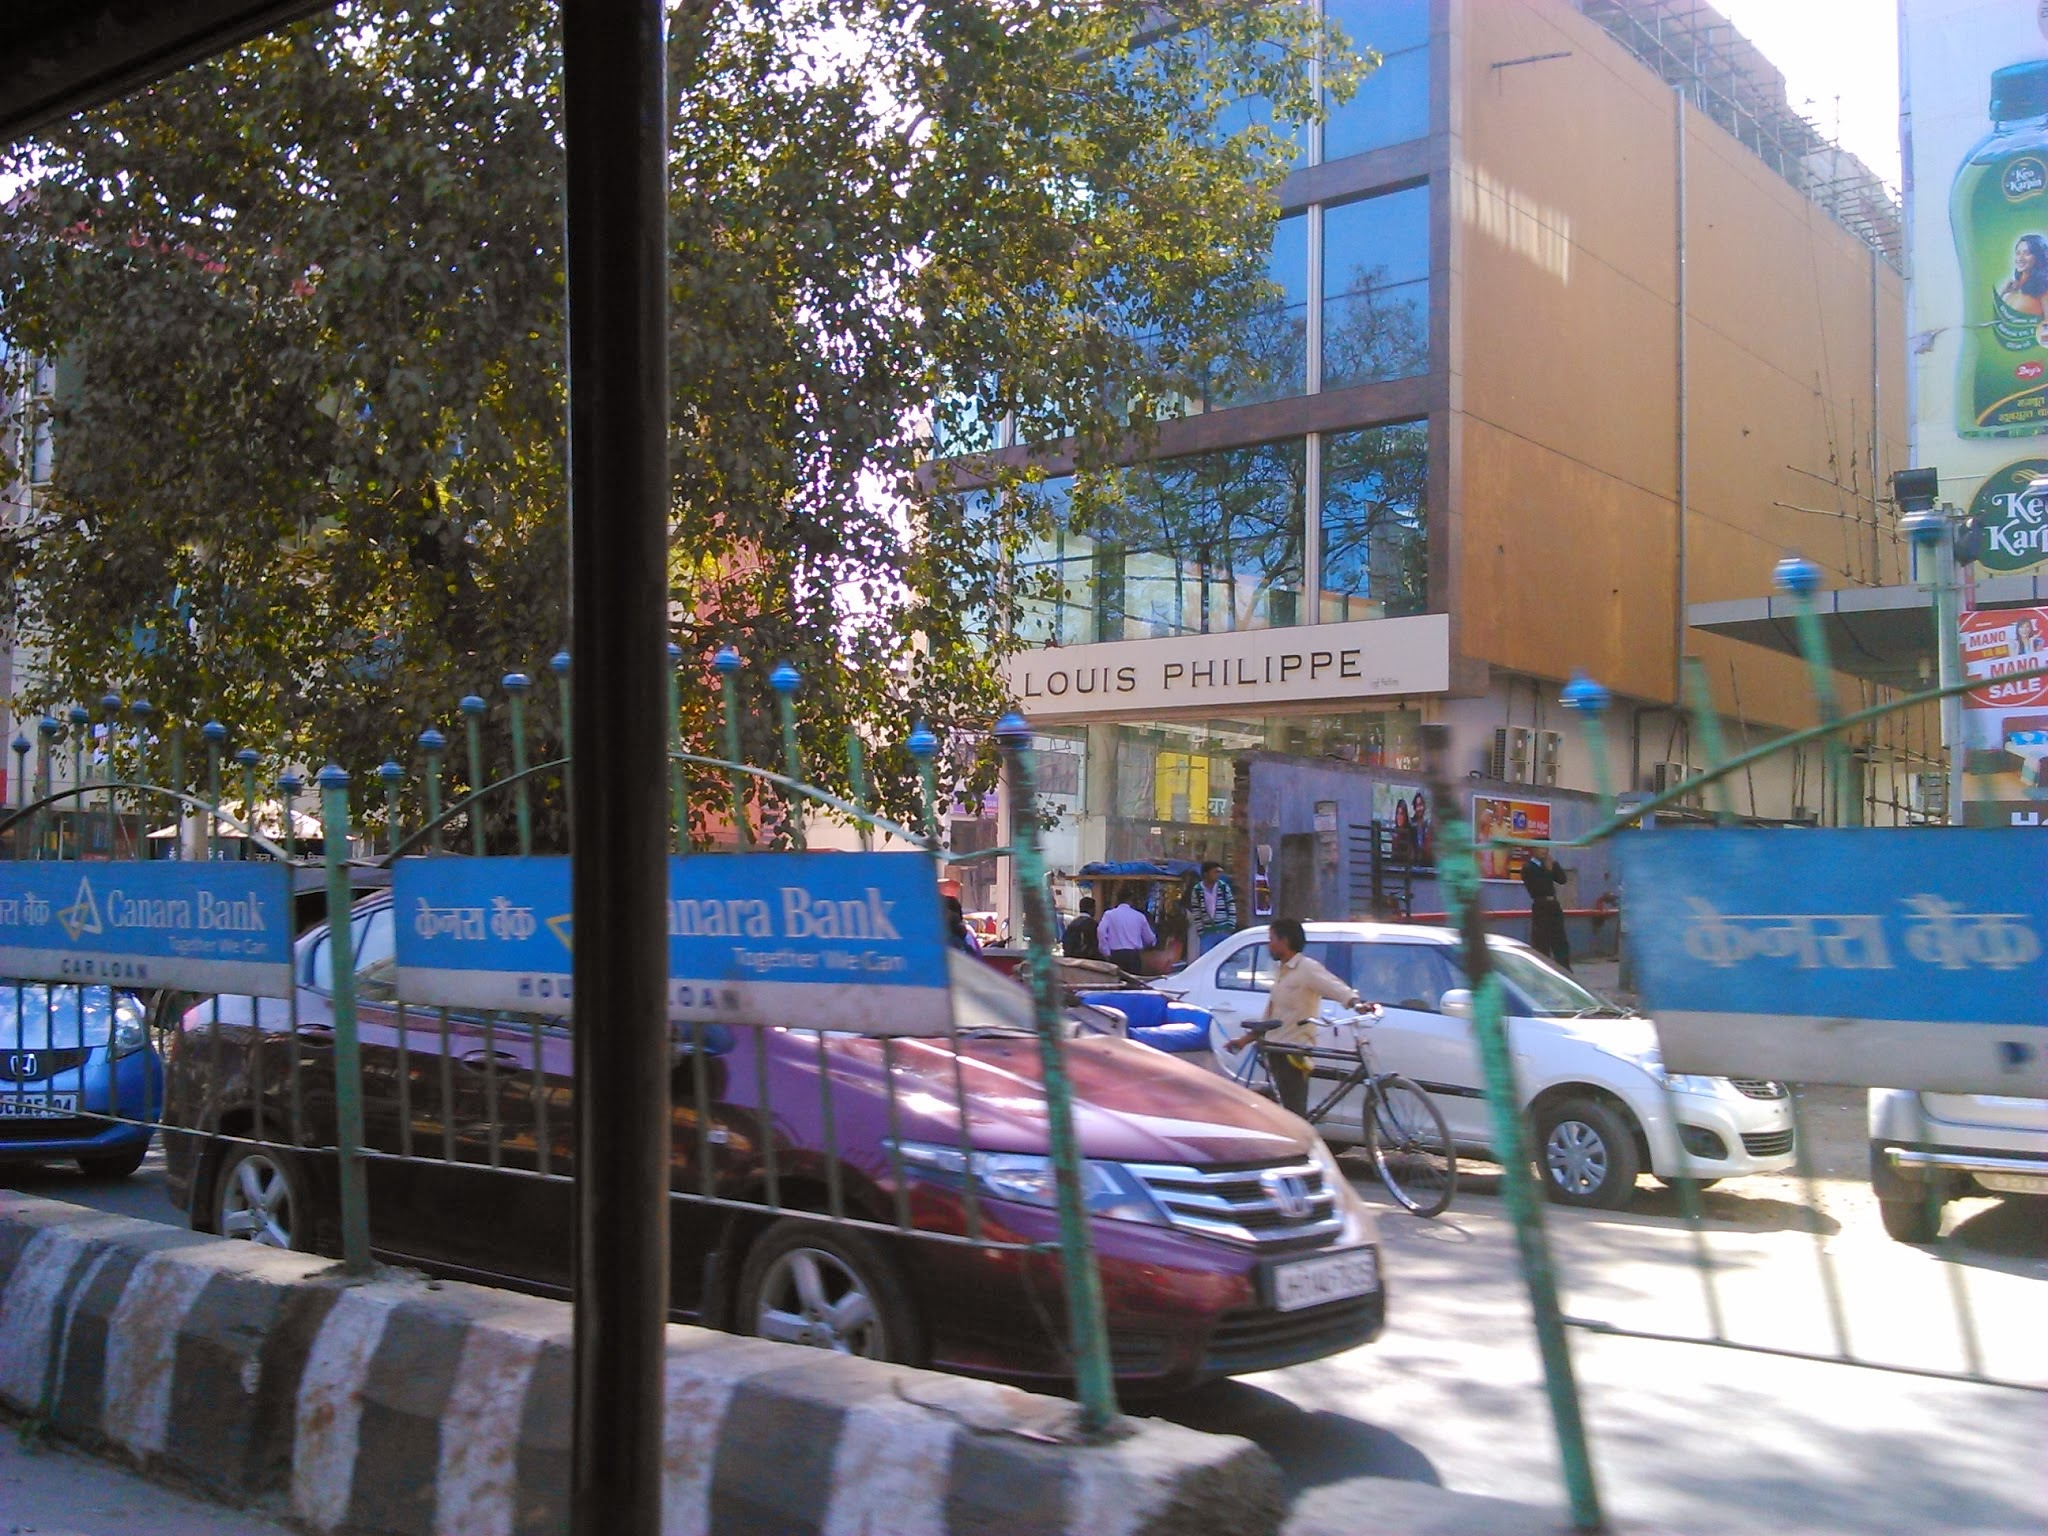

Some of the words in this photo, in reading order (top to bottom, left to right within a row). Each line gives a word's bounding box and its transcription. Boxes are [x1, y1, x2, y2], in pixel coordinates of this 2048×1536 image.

[1019, 660, 1141, 701] LOUIS
[1157, 645, 1366, 695] PHILIPPE
[99, 885, 196, 931] Canara
[194, 885, 271, 938] Bank
[409, 891, 492, 943] केनरा
[483, 885, 545, 947] बैँक
[776, 881, 902, 943] Bank
[1670, 889, 1895, 977] केनरा
[1899, 880, 2045, 977] बैंक
[731, 941, 823, 979] Together